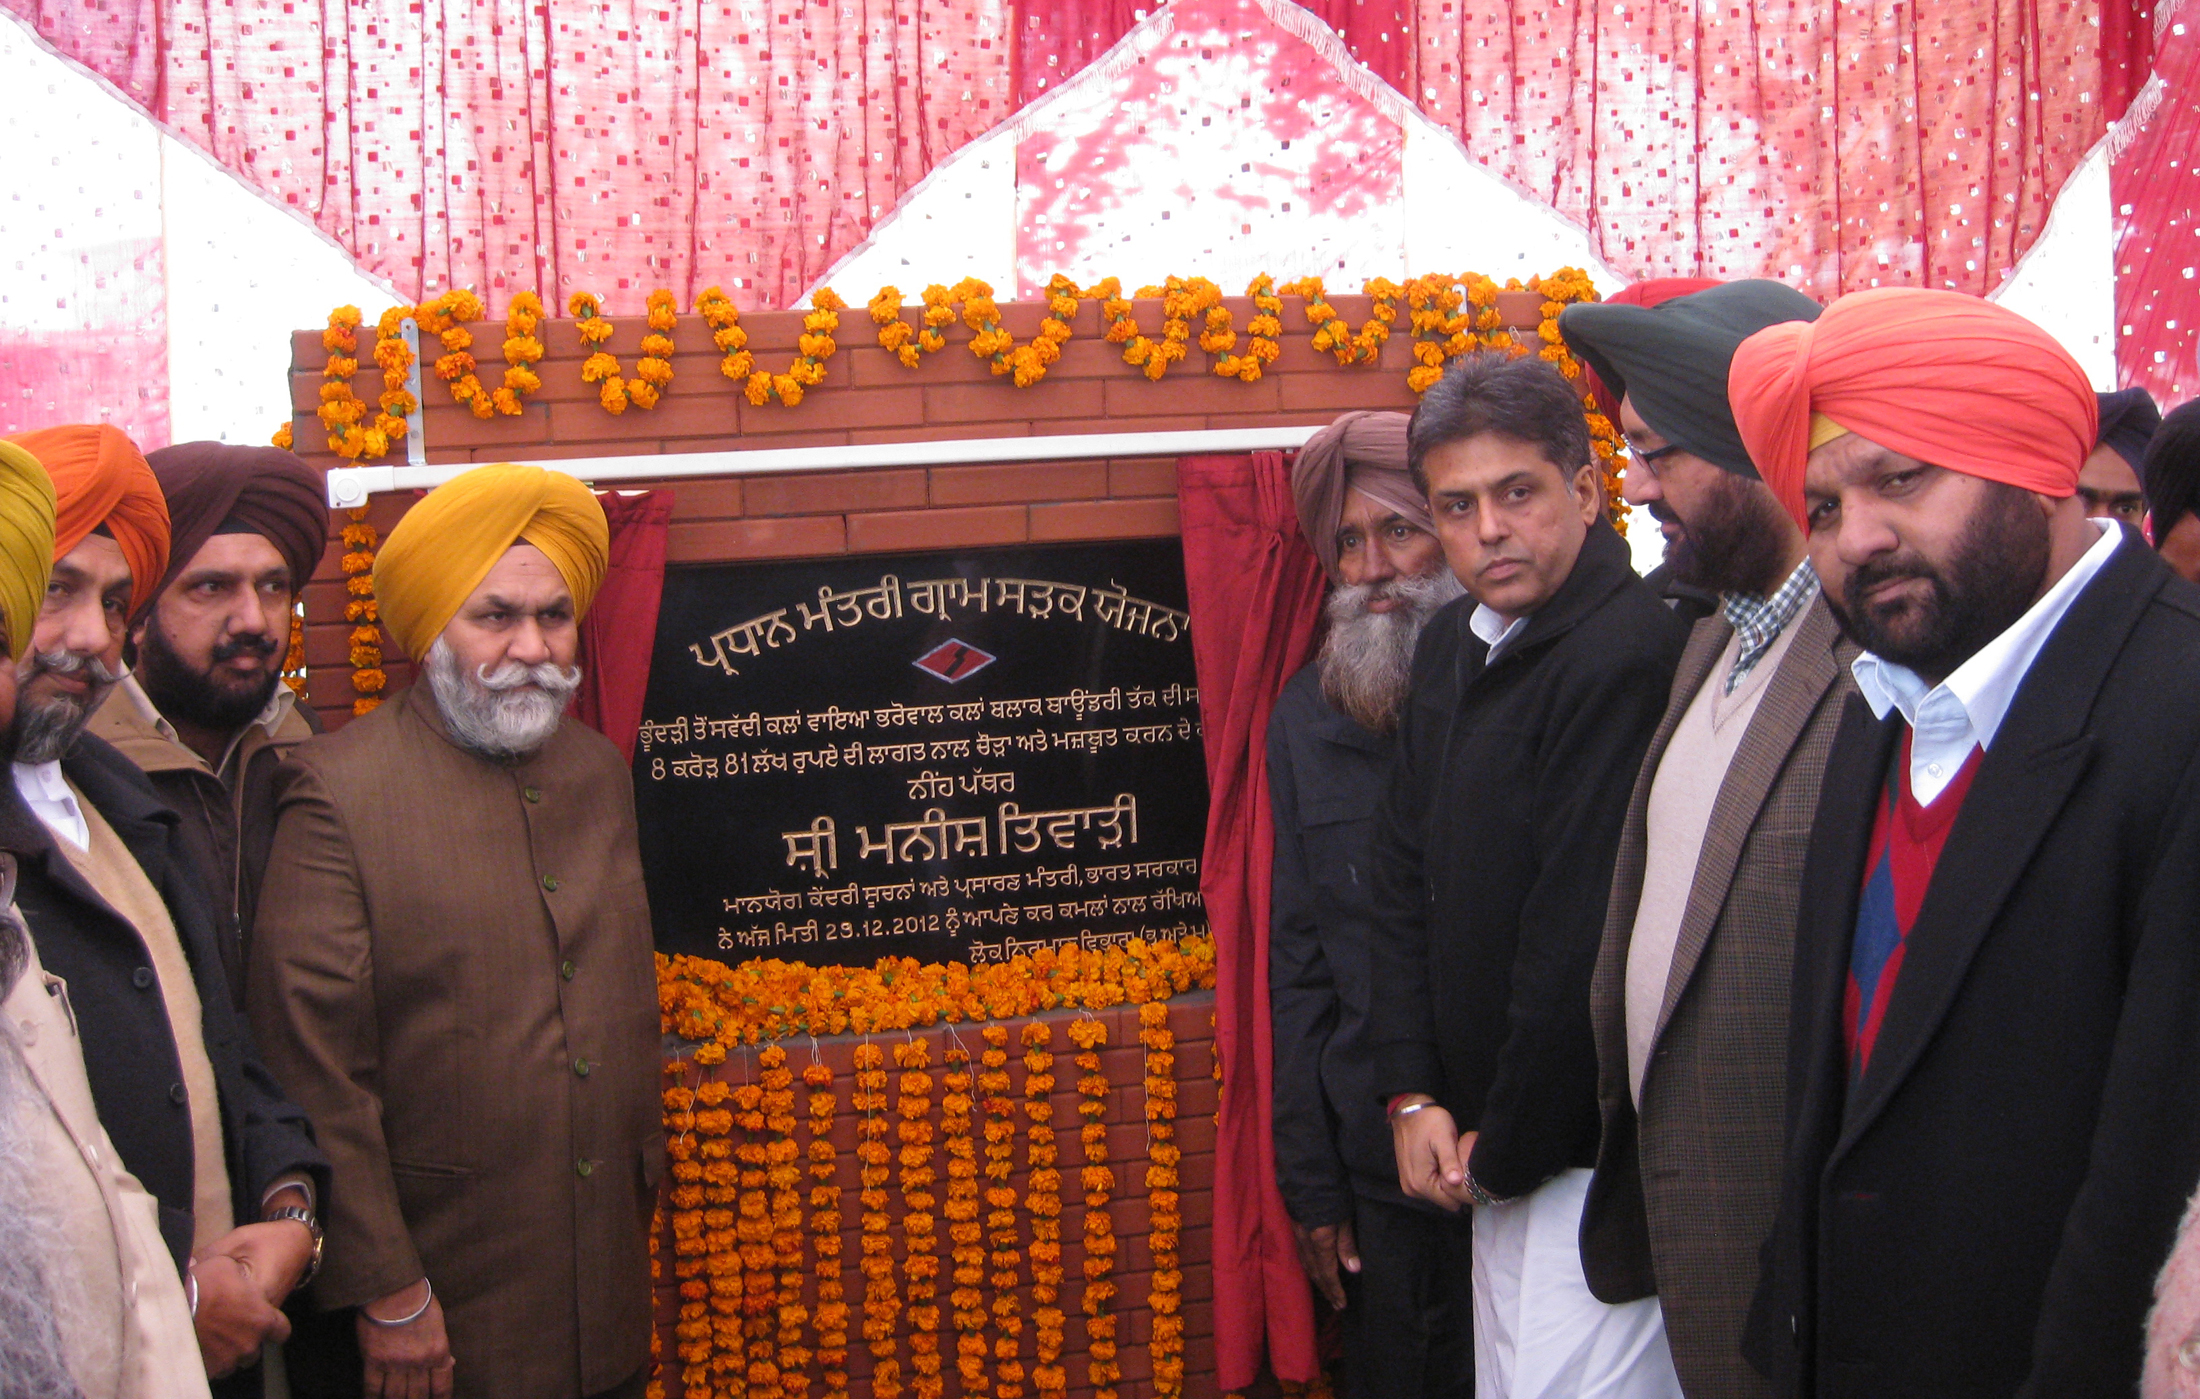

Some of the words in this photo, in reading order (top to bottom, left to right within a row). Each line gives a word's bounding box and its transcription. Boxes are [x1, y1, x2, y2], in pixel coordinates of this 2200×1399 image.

[787, 568, 907, 647] ਮੰਤਰੀ
[902, 569, 992, 627] ਗਾूਮ
[991, 568, 1091, 632] ਸੜਕ
[1088, 571, 1193, 650] ਯੋਜਨਾ
[678, 599, 802, 686] ਪ੍ਰਧਾਨ
[642, 752, 669, 787] 8
[635, 711, 692, 757] ਭੂੰਦੜੀ
[667, 747, 723, 787] ਕਰੋੜ
[689, 706, 711, 748] ਤੋਂ
[721, 746, 748, 781] 81
[707, 707, 764, 742] ਸਵੱਦੀ
[749, 742, 791, 776] ਲੱਖ
[762, 705, 805, 738] ਕਲਾਂ
[787, 737, 840, 779] ਰੁਪਏ
[803, 702, 872, 737] ਵਾਇਆ
[841, 737, 865, 767] ਦੀ
[864, 737, 928, 769] ਲਾਗਤ
[871, 695, 945, 733] ਭਰੋਵਾਲ
[897, 764, 958, 806] ਨੀਂਹ
[926, 735, 973, 764] ਨਾਲ
[943, 691, 987, 728] ਕਲਾ
[956, 762, 1022, 802] ਪੱਥਰ
[971, 727, 1012, 760] ਚੌੜਾ
[986, 692, 1046, 721] ਬਲਾਕ
[1012, 725, 1051, 757] ਅਤੇ
[1041, 683, 1126, 723] ਬਾਊਂਡਰੀ
[1048, 722, 1123, 758] ਮਜ਼ਬੂਤ
[1123, 680, 1159, 712] ਤੱਕ
[1119, 717, 1175, 752] ਕਰਨ
[1157, 677, 1186, 712] ਦੀ
[1174, 714, 1195, 742] ਦੇ
[773, 806, 844, 881] ਸूੀ
[847, 800, 993, 867] ਮਨੀਸ਼
[988, 781, 1148, 861] ਤਿਵਾੜੀ
[711, 922, 736, 955] ਨੇ
[732, 917, 772, 954] ਅੱਜ
[711, 883, 809, 917] ਮਾਨਯੋਗ
[769, 914, 822, 947] ਮਿਤੀ
[800, 880, 862, 912] ਕੇਂਦਰੀ
[822, 908, 944, 944] 29.12.2012
[860, 877, 918, 912] ਸੂਚਨਾਂ
[915, 868, 956, 902] ਅਤੇ
[942, 902, 964, 942] ਨੂੰ
[960, 934, 1004, 965] ਲੋਕ
[951, 869, 1022, 902] ਪ੍ਰਸਾਰਣ
[957, 897, 1021, 928] ਆਪਣੇ
[1021, 897, 1057, 923] ਕਰ
[1022, 857, 1083, 892] ਮੰਤਰੀ,
[1056, 892, 1111, 926] ਕਮਲਾਂ
[1080, 858, 1133, 887] ਭਾਰਤ
[1108, 889, 1150, 917] ਨਾਲ
[1132, 853, 1203, 884] ਸਰਕਾਰ
[1148, 881, 1205, 915] ਰੱਖਿਅ